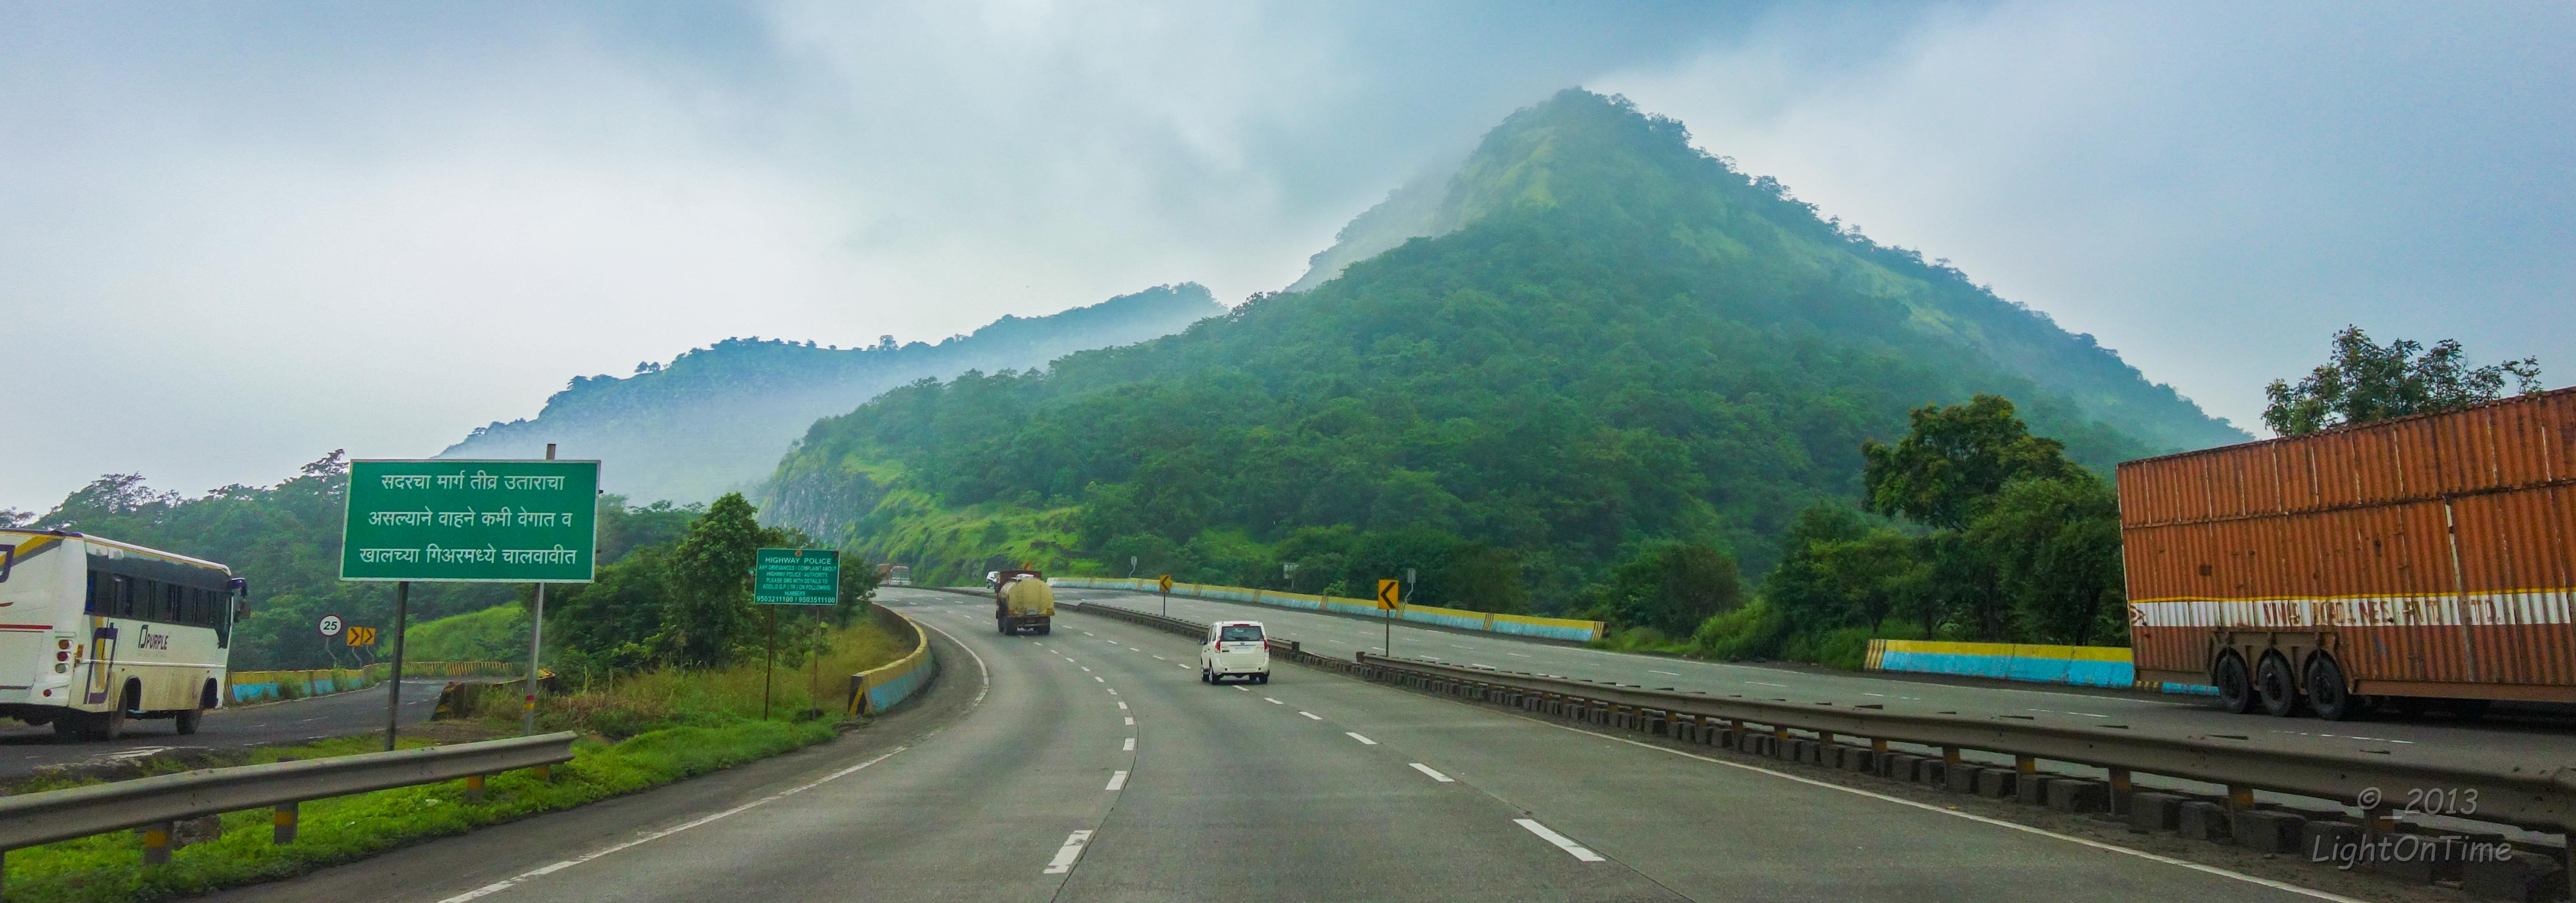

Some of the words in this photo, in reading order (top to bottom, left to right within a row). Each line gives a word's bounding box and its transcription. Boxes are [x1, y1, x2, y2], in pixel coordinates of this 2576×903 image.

[379, 473, 432, 490] सदरचा
[433, 468, 468, 494] मार्ग
[466, 467, 500, 496] तीव्र
[501, 471, 566, 495] उताराचा
[367, 503, 437, 529] असल्याने
[436, 505, 478, 531] वाहने
[479, 503, 512, 529] कमी
[515, 503, 556, 529] वेगात
[557, 511, 573, 526] व
[359, 544, 426, 565] खालच्या
[420, 539, 499, 566] गिअरमध्ये
[500, 539, 579, 568] चालवावीत
[761, 555, 802, 566] HIGHWAY
[802, 556, 834, 566] POLICE
[755, 594, 796, 604] 9503211100
[797, 593, 838, 605] 9503511100
[134, 624, 172, 653] OPURPLE
[2344, 777, 2486, 824] c 2013
[2306, 831, 2442, 876] LightOn
[2437, 830, 2517, 866] Time